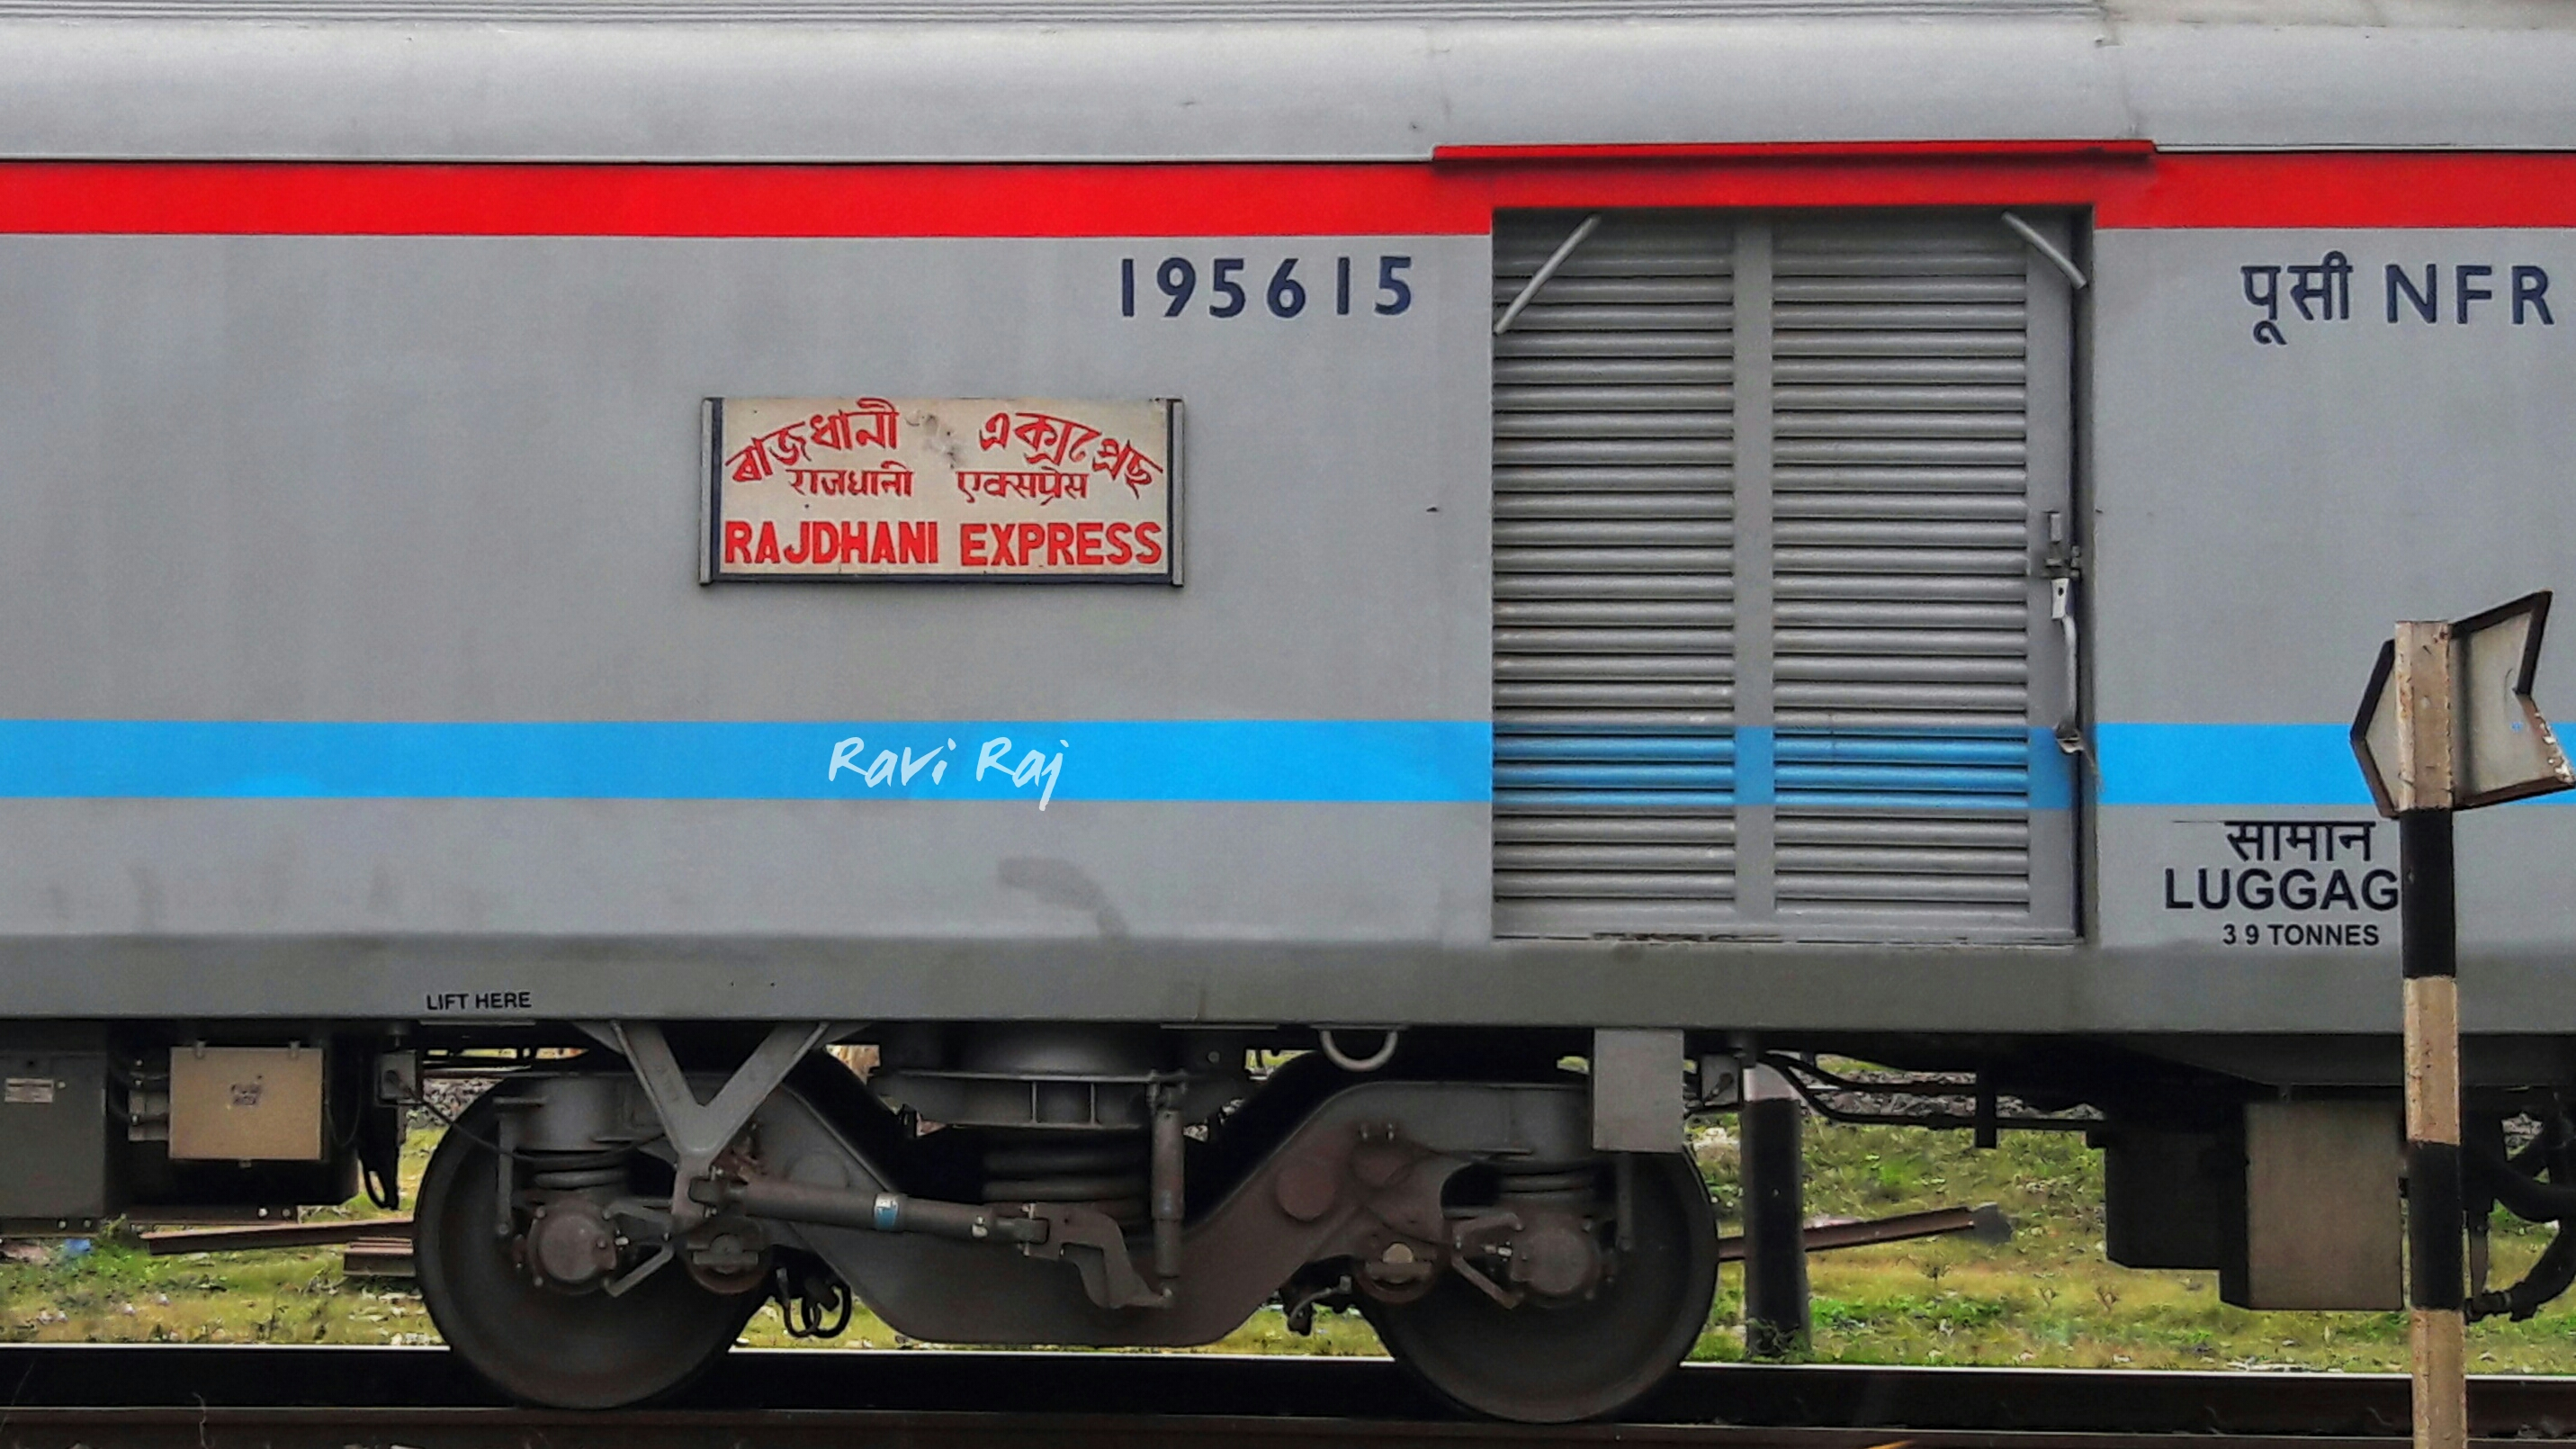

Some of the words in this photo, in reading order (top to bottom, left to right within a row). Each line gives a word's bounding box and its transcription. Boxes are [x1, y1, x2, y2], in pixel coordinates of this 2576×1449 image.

[1111, 252, 1414, 321] 195615
[2229, 244, 2364, 353] पूसी
[2382, 254, 2556, 331] NFR
[719, 386, 905, 490] ৰাজধানী
[782, 454, 922, 503] राजधानी
[948, 459, 1092, 509] एक्सप्रेस
[972, 402, 1169, 502] এক্সপ্রেছ
[720, 511, 942, 570] RAJDHANI
[953, 514, 1167, 571] EXPRESS
[825, 731, 956, 791] Ravi
[958, 730, 1085, 819] Raj
[2217, 817, 2375, 866] सामान
[2154, 848, 2415, 920] LUGGAG
[2213, 913, 2275, 950] 39
[2264, 914, 2392, 956] TONNES
[424, 986, 470, 1014] LIFT
[471, 985, 534, 1012] HERE